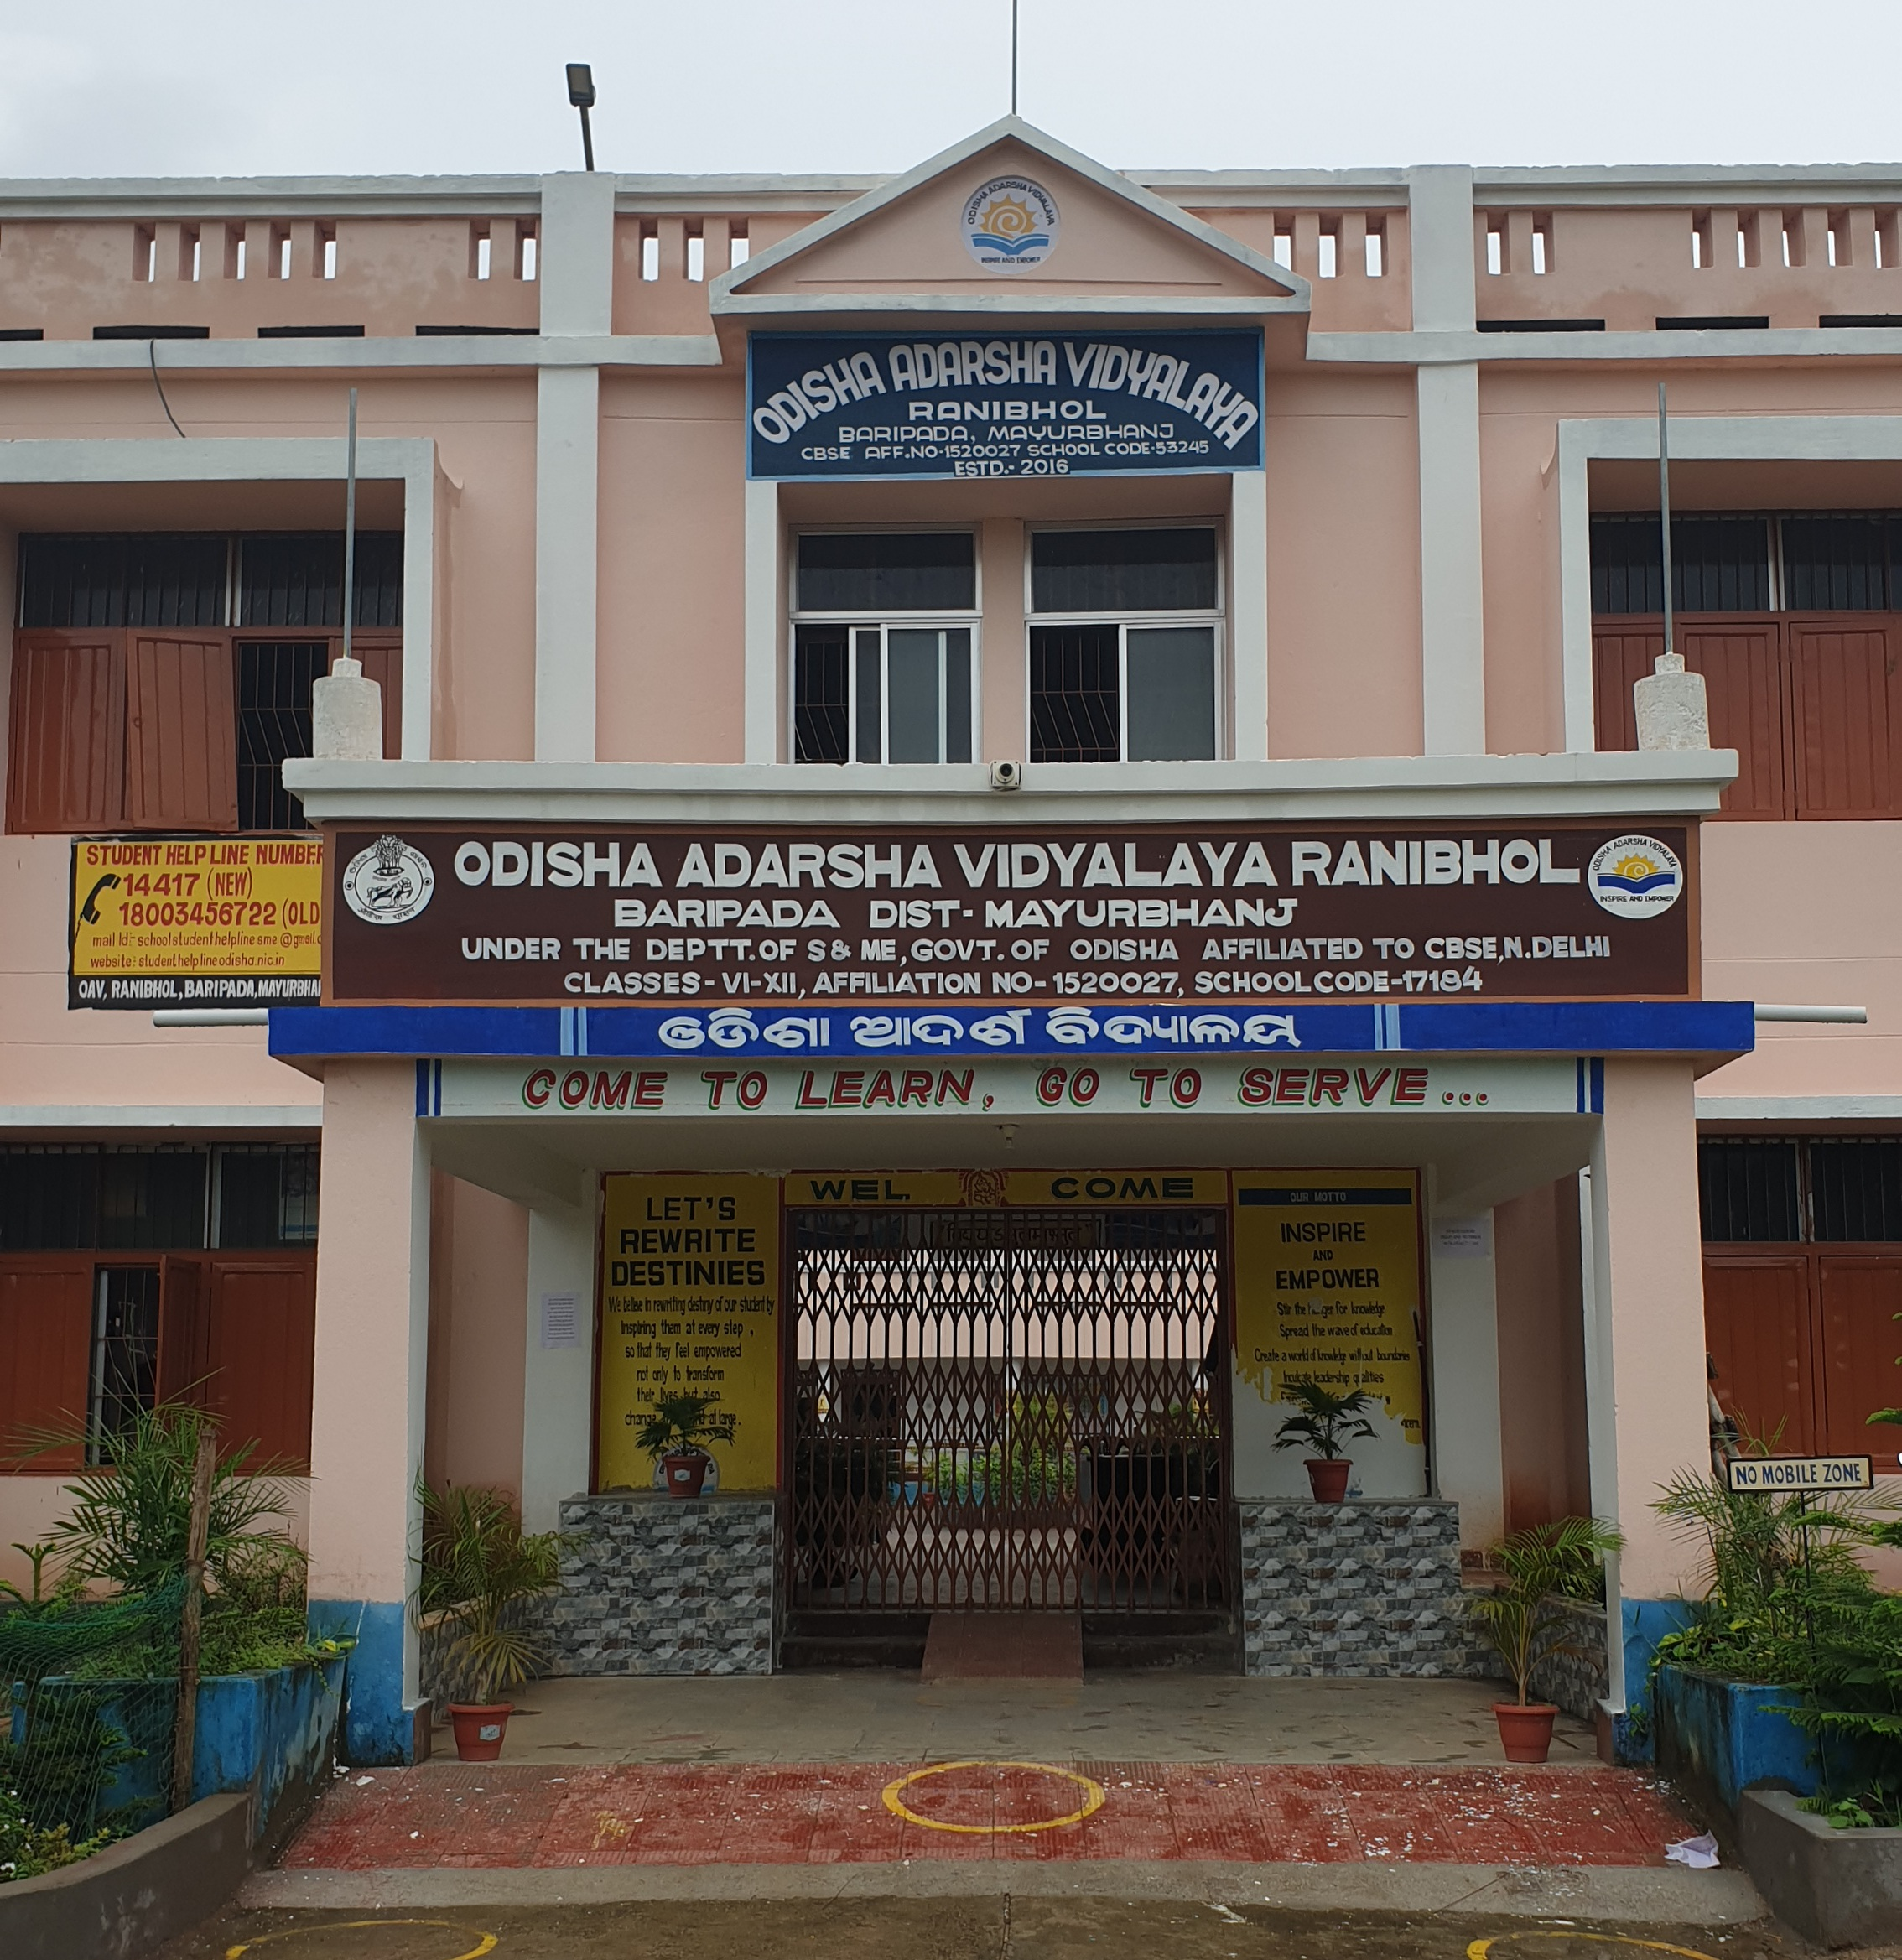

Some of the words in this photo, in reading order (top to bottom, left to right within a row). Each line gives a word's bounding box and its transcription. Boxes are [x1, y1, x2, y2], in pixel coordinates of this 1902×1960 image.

[886, 335, 1059, 396] ADARSHA
[750, 349, 891, 450] ODISHA
[907, 395, 1111, 424] RANIBHOL
[1062, 338, 1264, 455] VIDYALAYA
[836, 419, 972, 445] BARIPADA
[984, 419, 1177, 443] MAYURBHANJ
[797, 444, 857, 466] CBSE
[863, 442, 942, 465] AFF.NO
[952, 457, 1011, 480] ESTD.
[944, 437, 1024, 460] 1520027
[1018, 455, 1072, 479] 2016,
[1024, 438, 1104, 460] SCHOOL
[1099, 437, 1213, 459] CODE.53245
[81, 834, 165, 869] STUDENT
[162, 840, 250, 870] HELPLINE
[252, 840, 329, 866] NUMBER
[446, 831, 665, 891] ODISHA
[672, 840, 945, 892] ADARSHA
[951, 839, 1281, 890] VIDYALAYA
[1288, 835, 1583, 888] RANIBHOL
[1589, 840, 1616, 873] ODISHA
[1610, 831, 1650, 853] ADARSHA
[1645, 835, 1682, 871] VIDYALAYA
[114, 868, 210, 903] 14417
[196, 868, 253, 901] (NEW)
[116, 897, 283, 927] 18003456722
[284, 897, 321, 927] OLD
[611, 892, 844, 931] BARIPADA
[867, 893, 964, 932] DIST
[981, 893, 1302, 930] MAYURBHANJ
[91, 930, 135, 951] mailld
[89, 949, 137, 970] website
[134, 950, 180, 969] student
[133, 928, 216, 949] schoolstudent
[175, 950, 203, 970] help
[196, 949, 222, 970] line
[210, 928, 260, 949] helpline
[215, 949, 291, 969] eodisha.nic.in
[254, 928, 283, 950] sme
[278, 928, 323, 950] @gmail.c
[457, 933, 565, 963] UNDER
[571, 933, 635, 964] THE
[644, 933, 757, 965] DEPTT.
[751, 937, 802, 968] OF
[803, 937, 834, 967] S
[825, 928, 856, 964] &
[853, 935, 901, 967] ME
[902, 932, 1008, 964] GOVT.
[1007, 929, 1052, 967] OF
[1065, 933, 1181, 964] ODISHA
[1197, 932, 1367, 967] AFFILIATED
[1371, 934, 1418, 962] TO
[1420, 930, 1502, 965] CBSE,
[1499, 930, 1614, 964] N.DELHI
[76, 976, 109, 1002] OAV
[109, 975, 181, 1001] RANIBHOL,
[180, 975, 259, 1001] BARIPADA,
[256, 973, 325, 1001] MAYURBHAI
[559, 964, 705, 1001] CLASSES
[713, 964, 798, 1001] VI-XII
[808, 965, 984, 996] AFFILIATION
[988, 967, 1038, 998] NO
[1050, 967, 1181, 996] 1520027
[1191, 964, 1315, 995] SCHOOL
[1309, 962, 1482, 999] CODE-17184
[656, 1000, 834, 1054] ଓଡିଶା
[844, 1004, 1036, 1051] ଆଦର୍ଶ
[1039, 997, 1304, 1049] ବିଦ୍ୟାଳୟ
[519, 1062, 667, 1118] COME
[693, 1062, 775, 1120] TO
[792, 1063, 979, 1110] LEARN
[1028, 1059, 1106, 1115] GO
[1121, 1059, 1207, 1115] TO
[1234, 1059, 1432, 1107] SERVE
[809, 1170, 915, 1202] WEL
[1047, 1166, 1197, 1204] COME
[642, 1191, 740, 1224] LET
[616, 1219, 759, 1256] REWRITE
[1274, 1209, 1372, 1250] INSPIRE
[1307, 1244, 1338, 1264] AND
[608, 1252, 770, 1288] DESTINIES
[1271, 1264, 1383, 1292] EMPOWER
[605, 1290, 626, 1316] We
[621, 1291, 649, 1314] believe
[642, 1294, 655, 1313] in
[648, 1289, 690, 1316] rewriting
[682, 1292, 717, 1317] destiny
[709, 1292, 725, 1316] of
[720, 1292, 740, 1316] our
[735, 1291, 767, 1315] student
[763, 1294, 777, 1318] by
[1271, 1296, 1294, 1319] Stir
[1289, 1298, 1311, 1318] the
[1324, 1292, 1351, 1317] for
[1348, 1297, 1390, 1318] knowledge
[615, 1314, 660, 1339] Inspiring
[657, 1316, 683, 1338] them
[680, 1316, 701, 1338] at
[694, 1317, 725, 1339] every
[717, 1313, 748, 1340] step
[1272, 1318, 1312, 1339] Spread
[1307, 1319, 1331, 1339] the
[1323, 1323, 1354, 1339] wave
[1344, 1319, 1363, 1340] of
[1358, 1318, 1398, 1339] education
[621, 1343, 638, 1361] 50
[633, 1339, 655, 1360] that
[650, 1338, 673, 1365] they
[669, 1337, 692, 1363] Feel
[687, 1339, 746, 1360] empowered
[1249, 1342, 1284, 1365] Create
[1277, 1348, 1290, 1365] a
[1284, 1344, 1312, 1364] world
[1304, 1344, 1320, 1364] d of
[1312, 1342, 1349, 1369] knowledge
[1370, 1341, 1413, 1363] boundaries
[633, 1363, 652, 1385] not
[647, 1360, 673, 1386] only
[670, 1364, 683, 1385] to
[682, 1360, 725, 1383] transform
[1312, 1366, 1354, 1387] leadership
[1350, 1367, 1388, 1389] qualities
[1733, 1462, 1759, 1488] NO
[1758, 1456, 1821, 1488] MOBILE
[1818, 1454, 1863, 1483] ZONE